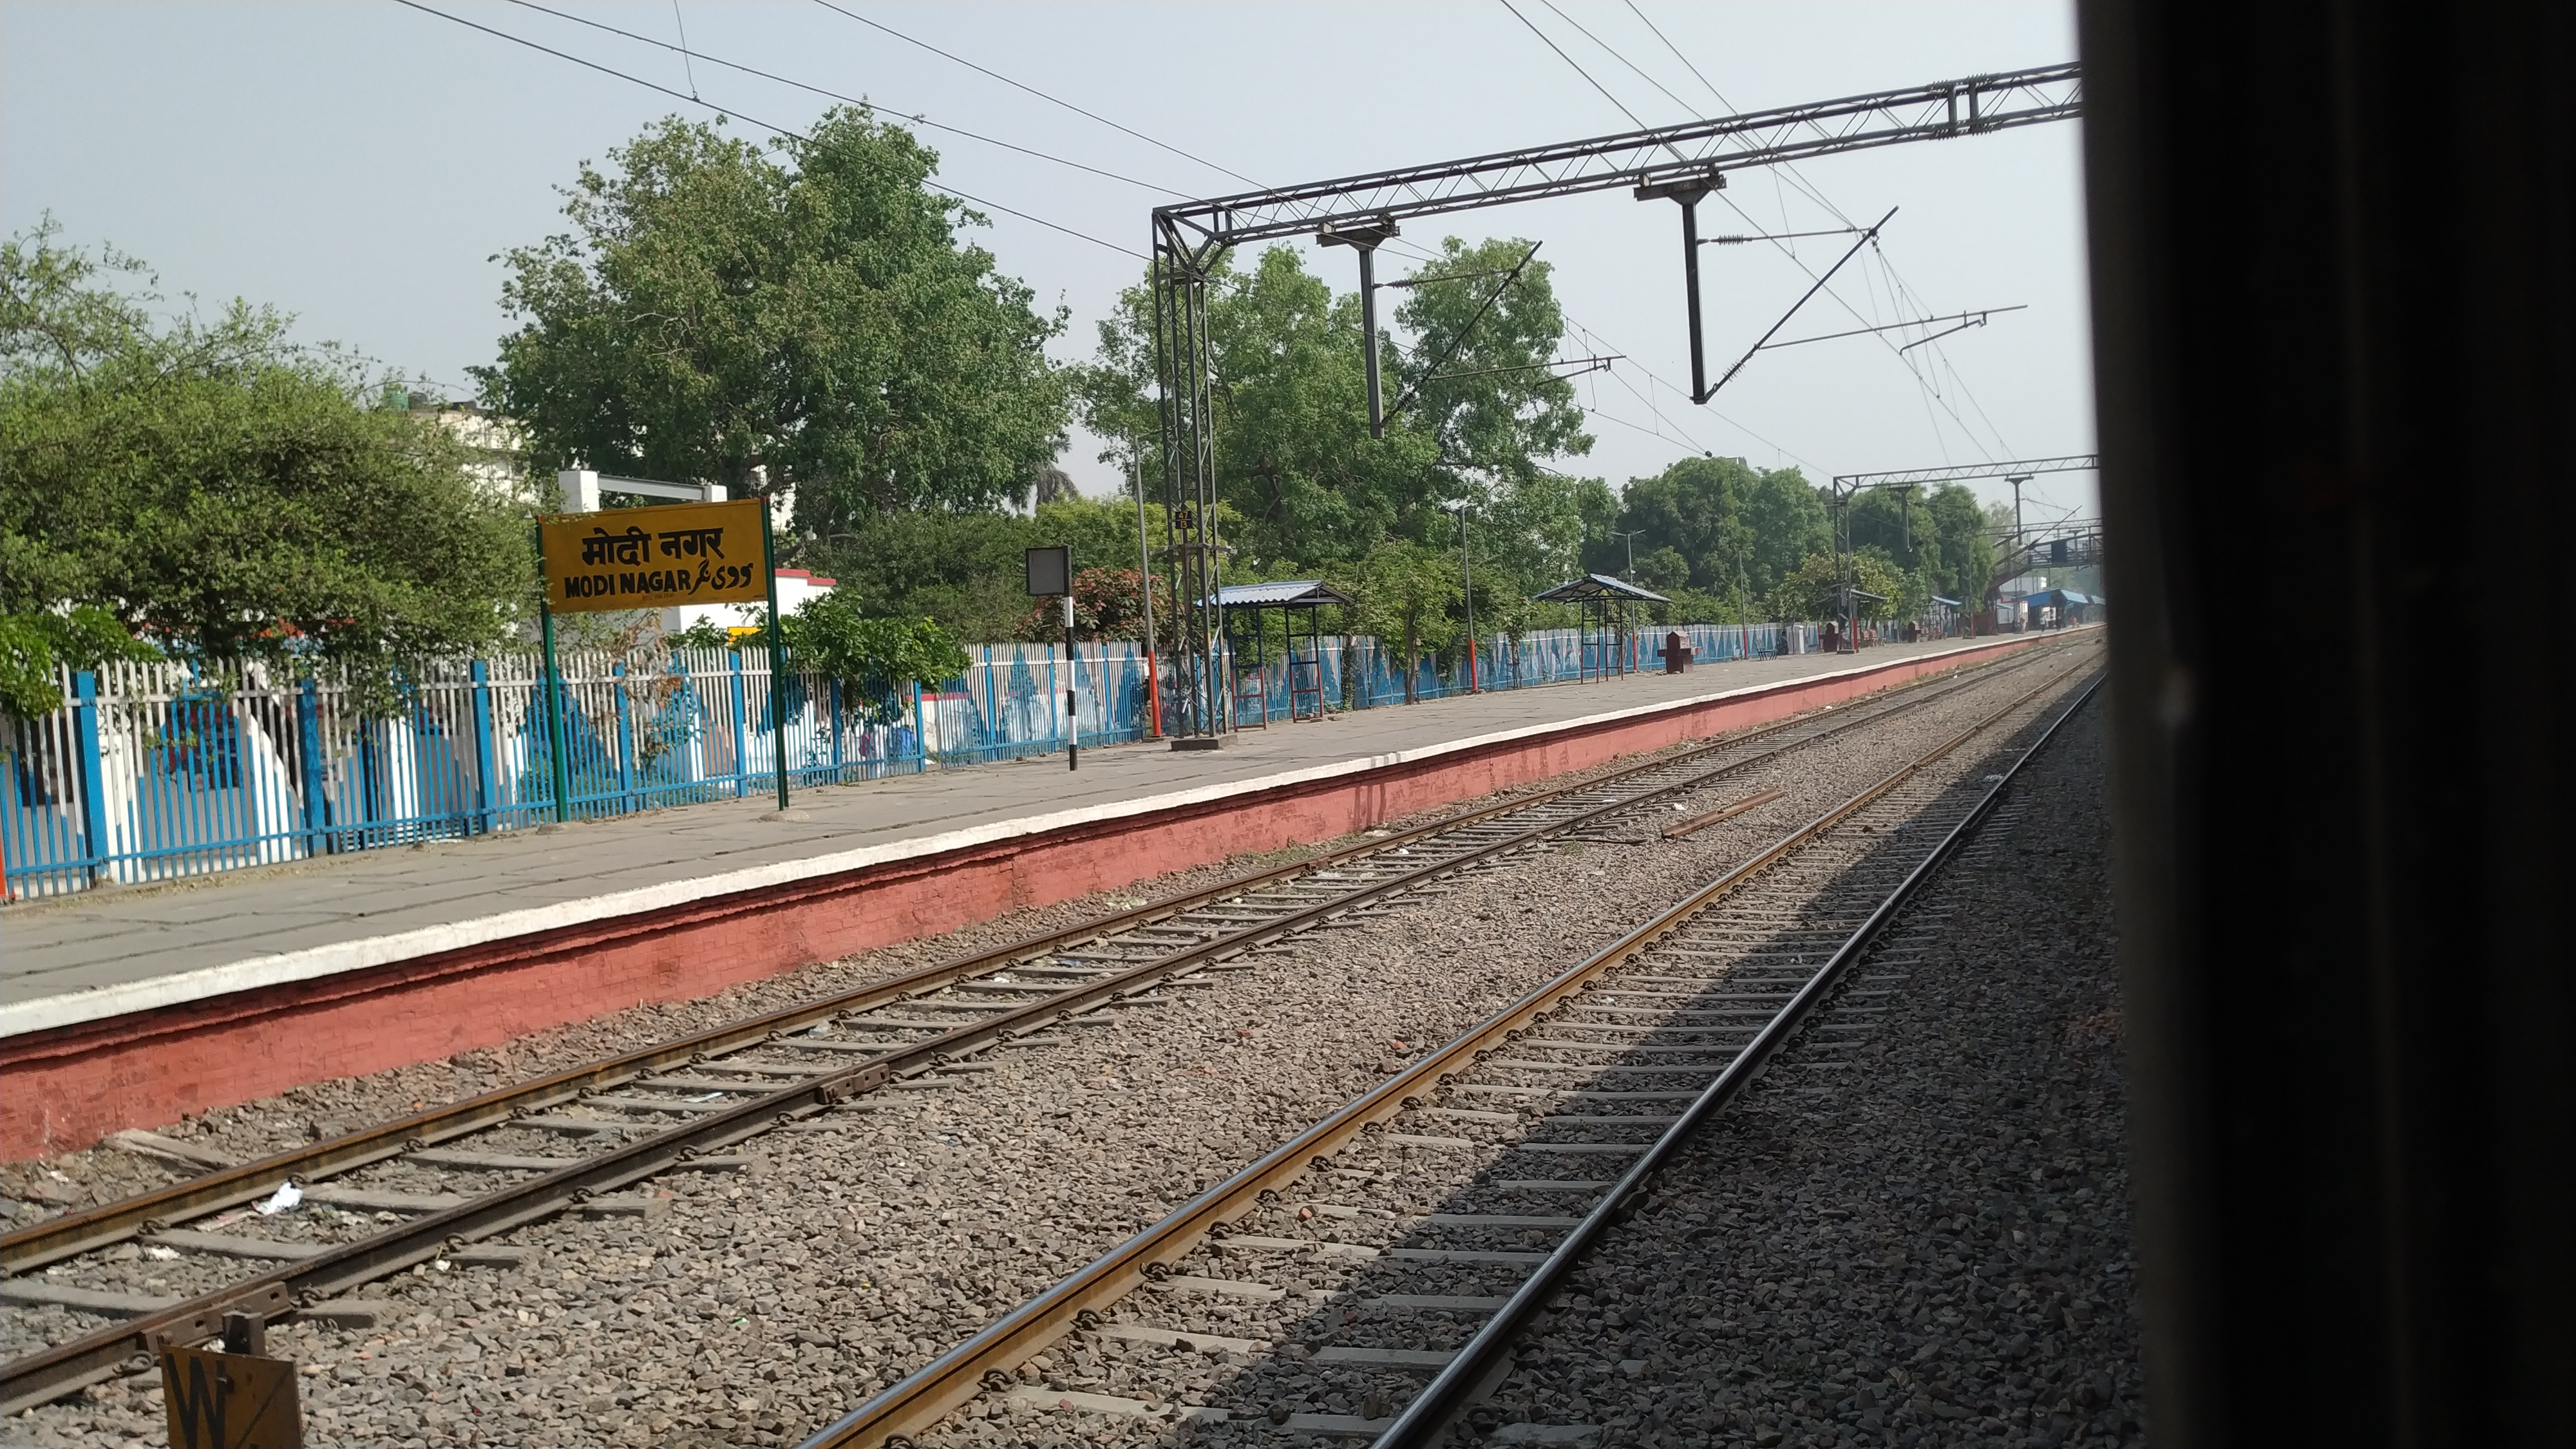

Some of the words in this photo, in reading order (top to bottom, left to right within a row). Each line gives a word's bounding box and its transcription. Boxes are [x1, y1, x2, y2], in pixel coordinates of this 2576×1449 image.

[579, 523, 654, 569] मोदी
[658, 526, 726, 563] नगर
[563, 573, 617, 600] MODI
[618, 567, 694, 596] NAGAR